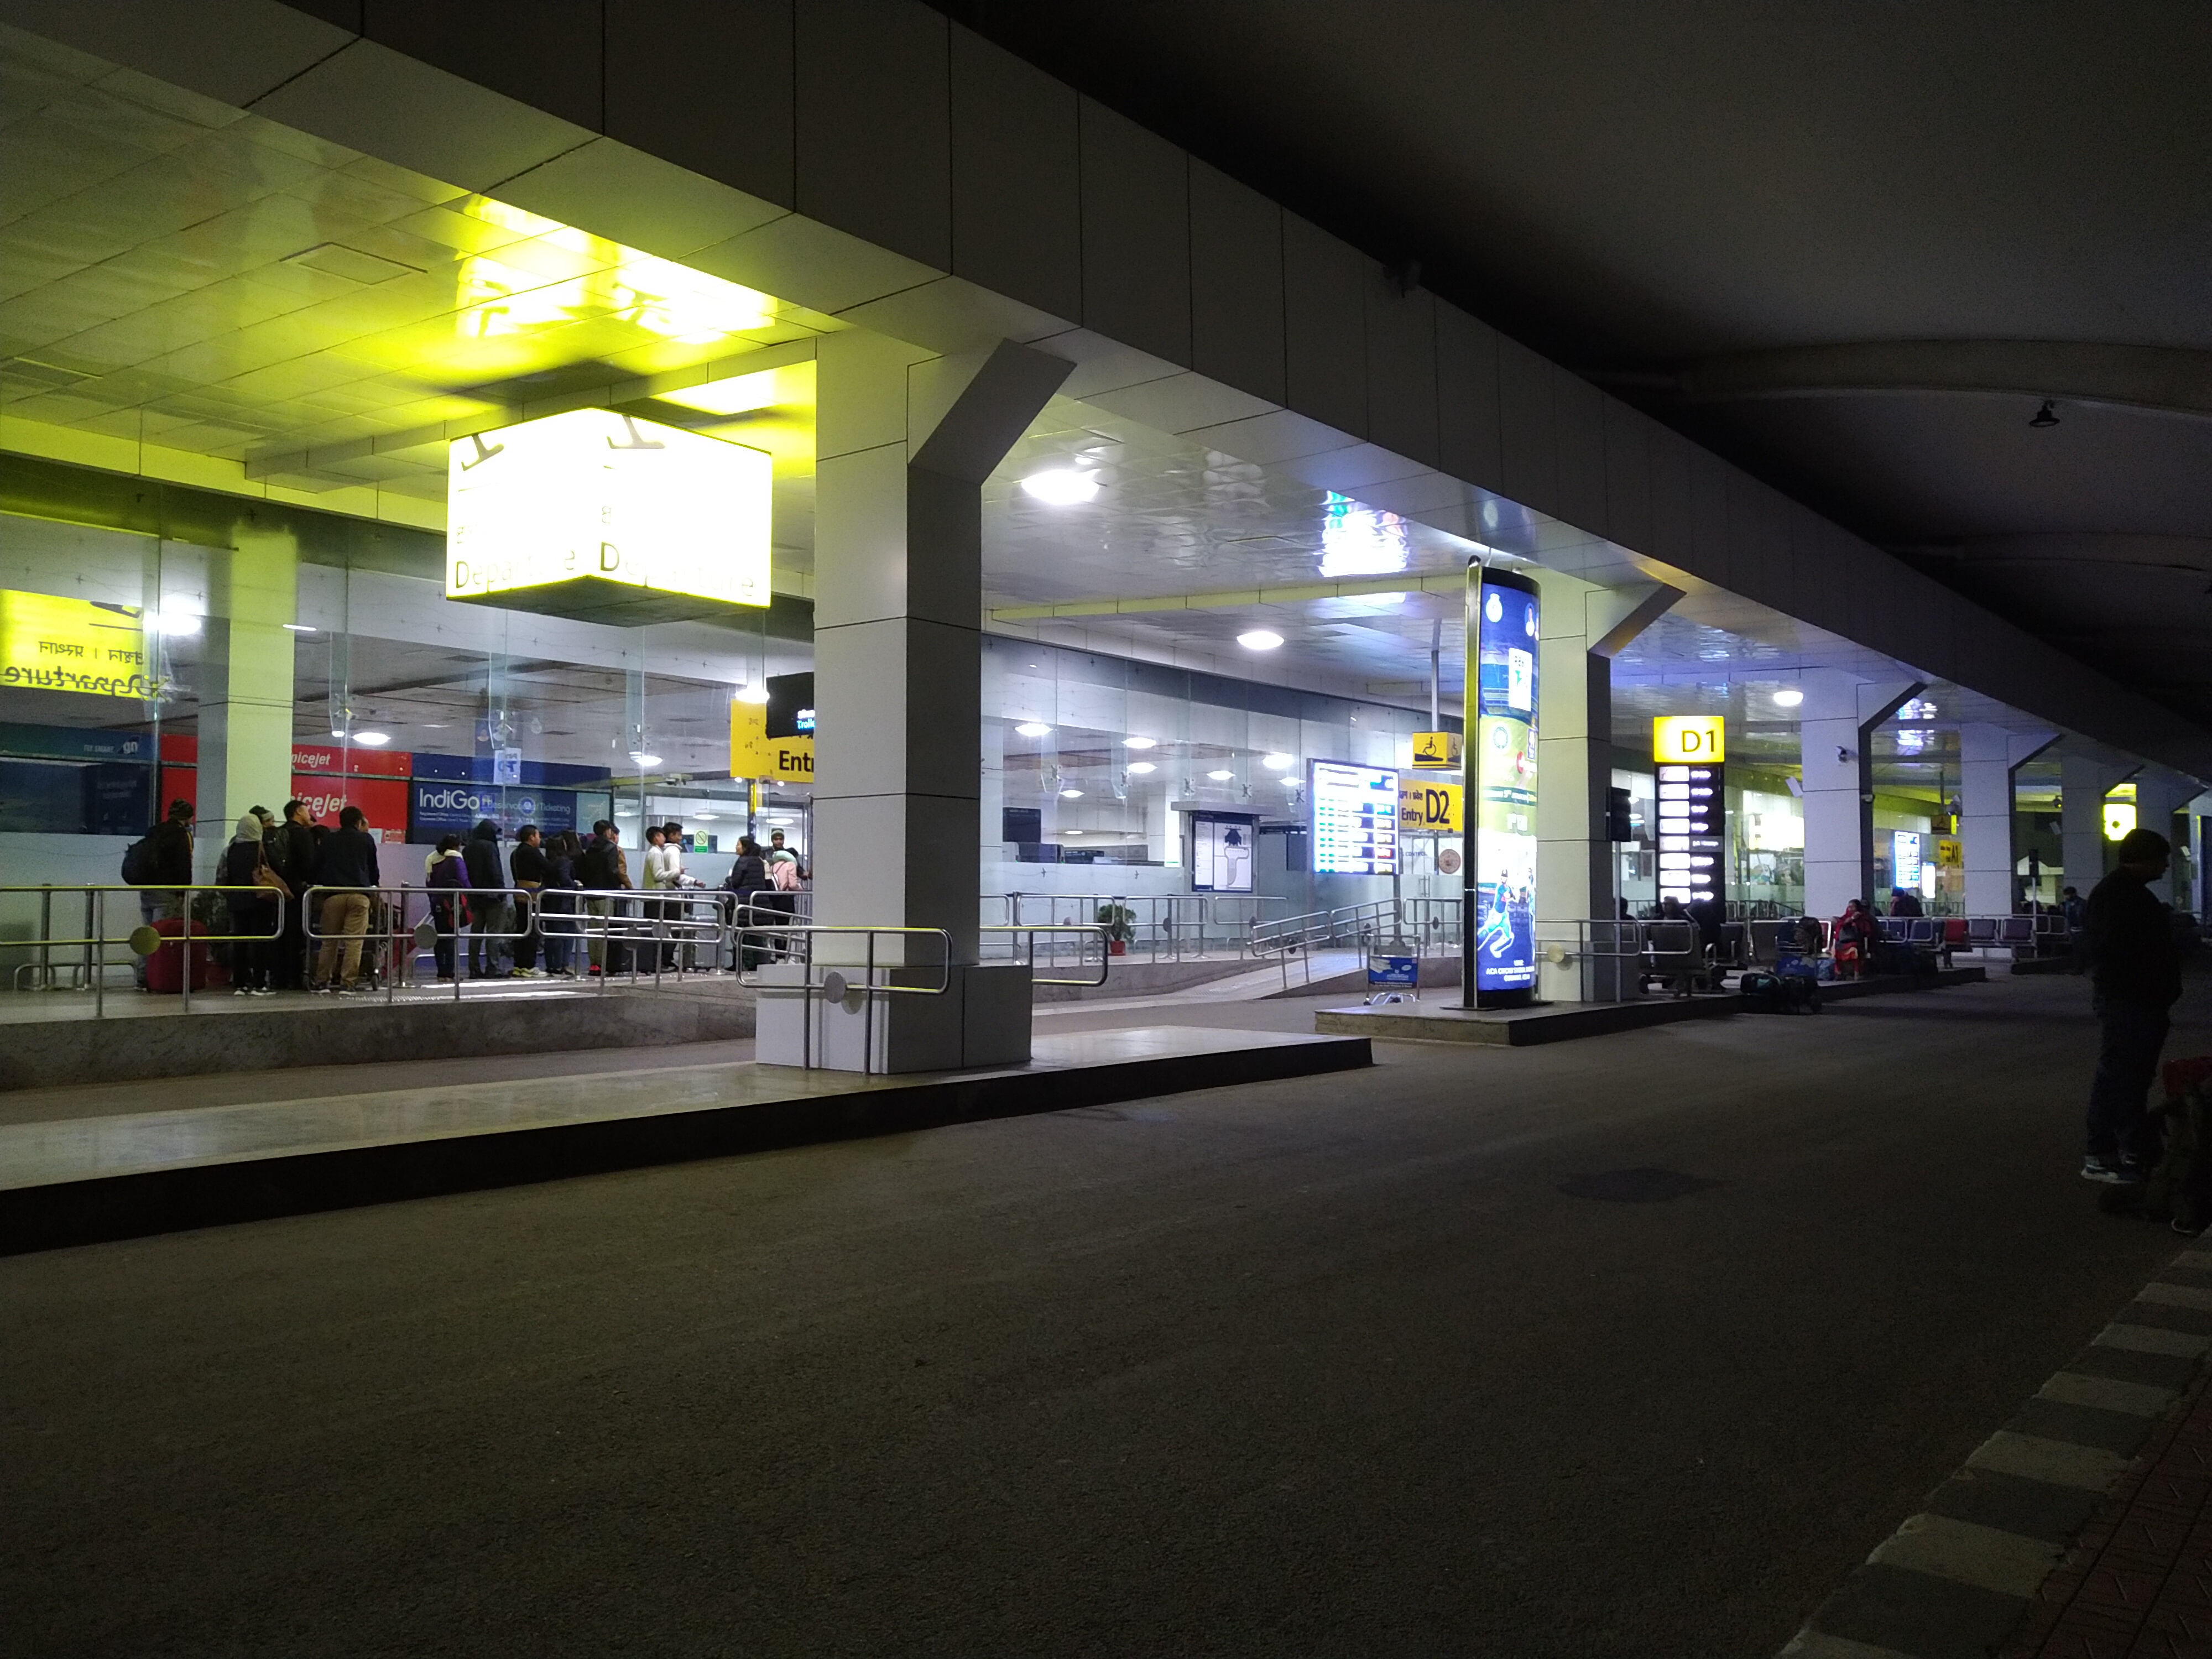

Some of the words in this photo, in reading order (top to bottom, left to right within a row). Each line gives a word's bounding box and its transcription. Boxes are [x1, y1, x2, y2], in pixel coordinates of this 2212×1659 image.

[33, 633, 85, 662] प्रस्थान
[416, 785, 485, 812] IndiGo
[1409, 785, 1427, 802] प्रवेश
[1400, 802, 1427, 826] Entry